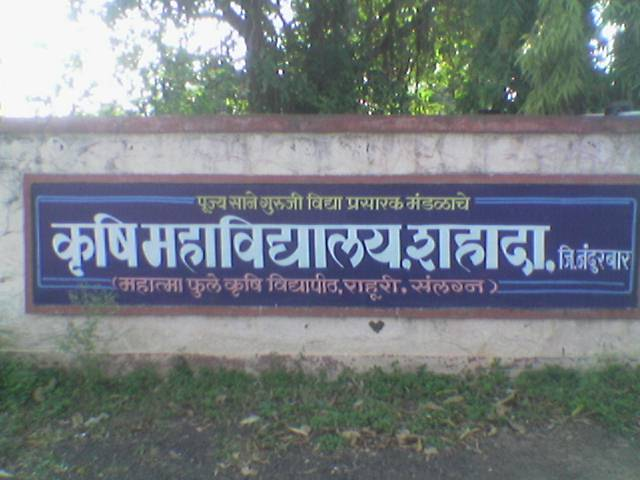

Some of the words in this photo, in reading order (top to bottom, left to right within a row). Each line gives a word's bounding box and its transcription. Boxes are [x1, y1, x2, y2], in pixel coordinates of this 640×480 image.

[194, 185, 228, 217] पूज्य
[227, 187, 259, 213] साने
[257, 187, 306, 217] गुरुजी
[305, 188, 346, 215] विद्या
[343, 191, 405, 214] प्रसारक
[404, 189, 474, 214] मंडळाचे
[39, 205, 141, 281] कृषि
[139, 211, 417, 277] महाविद्यालय.
[404, 221, 558, 279] शहादा.
[555, 241, 633, 279] जि.नंदुरबार
[107, 271, 187, 298] (महात्मा
[184, 269, 223, 303] फुले
[222, 270, 265, 301] कृषि
[264, 271, 347, 300] विद्यापीठ,
[341, 271, 411, 303] राहूरी,
[406, 275, 501, 301] संलग्न)